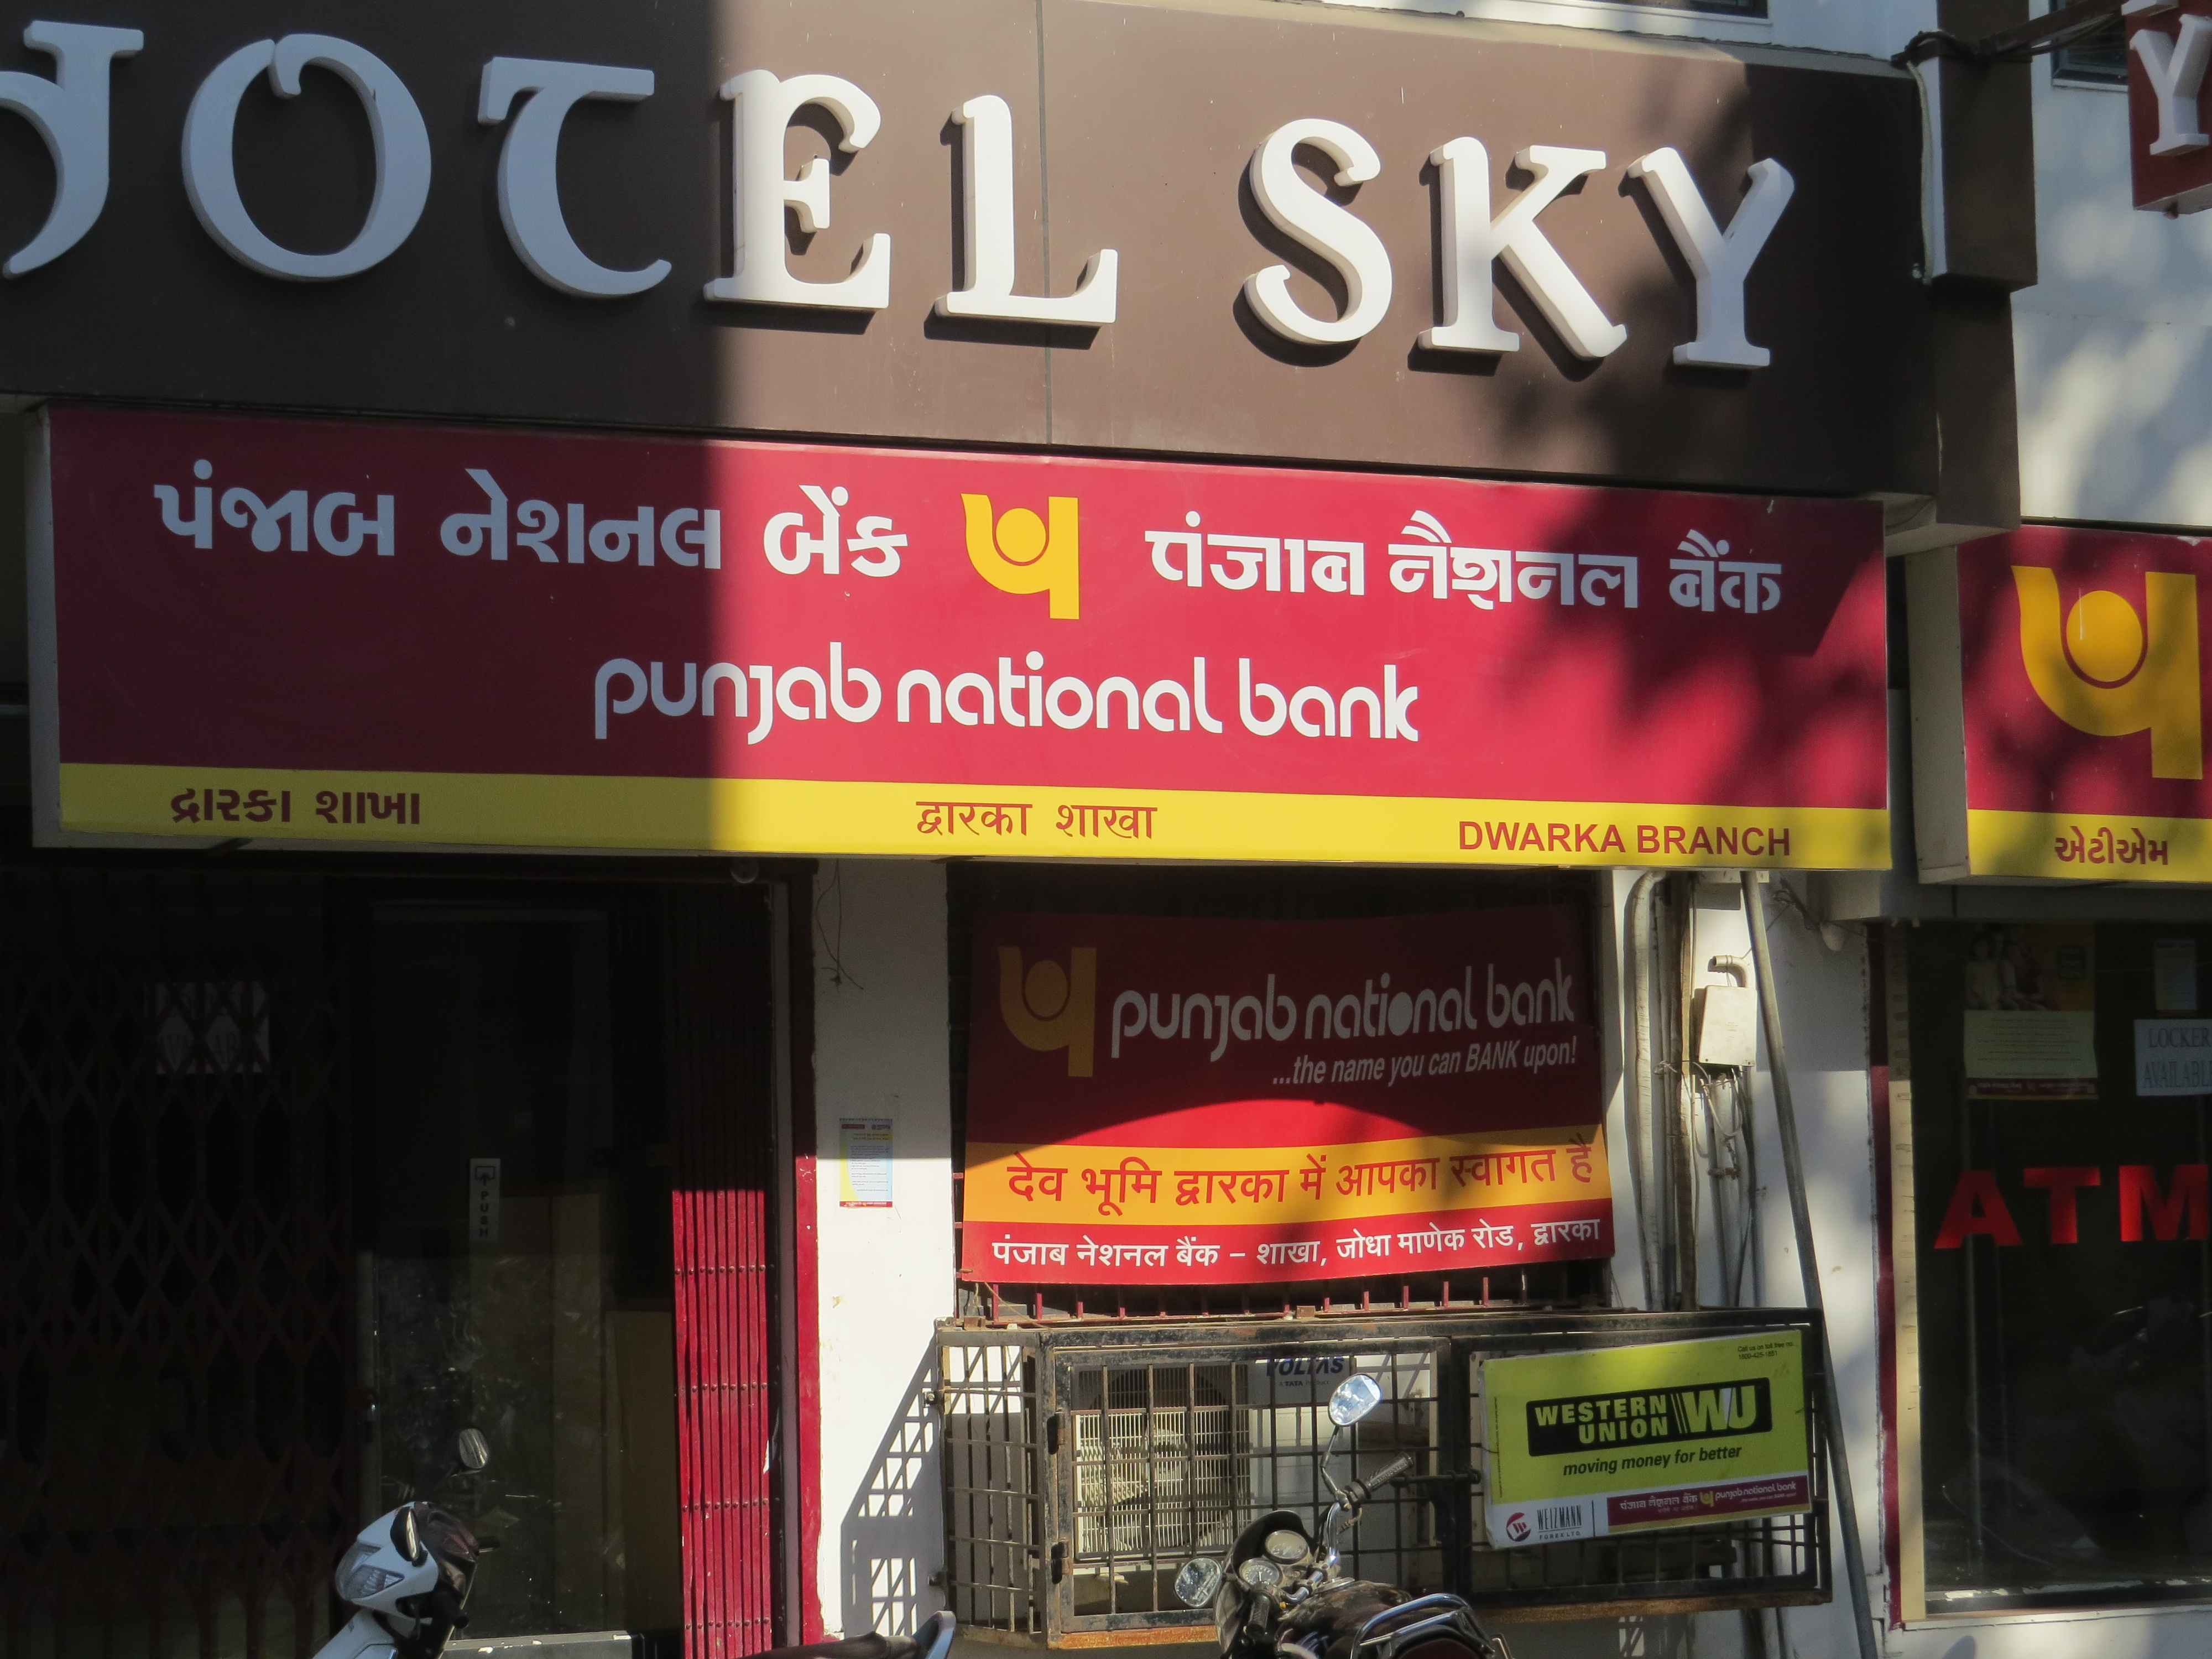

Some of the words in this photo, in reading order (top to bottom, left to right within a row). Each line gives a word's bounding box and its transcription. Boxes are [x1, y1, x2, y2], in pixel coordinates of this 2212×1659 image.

[2125, 8, 2210, 176] Y
[1, 11, 1151, 373] HOTEL
[1215, 101, 1822, 390] SKY
[136, 444, 410, 580] પંજાબ
[750, 470, 919, 595] ਯੇਂ
[1135, 501, 1371, 613] पंजाब
[1380, 500, 1660, 637] नैशनल
[1655, 523, 1791, 625] बैंक
[578, 633, 890, 755] punjab
[886, 644, 1232, 752] national
[1225, 649, 1437, 760] bank
[898, 794, 1041, 846] द्वारका
[1047, 800, 1169, 848] शाखा
[1450, 817, 1631, 859] DWARKA
[1631, 822, 1797, 864] BRANCH
[1105, 962, 1305, 1068] punjab
[1298, 959, 1483, 1046] national
[1482, 947, 1587, 1035] bank
[1267, 1047, 1332, 1093] ...the
[1326, 1055, 1387, 1086] name
[1384, 1052, 1428, 1091] you
[1424, 1048, 1464, 1077] can
[1462, 1036, 1524, 1075] BANK
[1522, 1032, 1580, 1074] upon!
[2139, 1023, 2210, 1054] LOCKER
[2139, 1057, 2210, 1095] AVAILABL
[470, 1187, 501, 1243] PUSH
[986, 1230, 1073, 1271] पंजाब
[995, 1146, 1076, 1210] देव
[1073, 1152, 1168, 1221] भूमि
[1071, 1229, 1173, 1275] नेशनल
[1169, 1230, 1229, 1270] बैंक
[1166, 1161, 1294, 1209] द्वारका
[1250, 1238, 1331, 1271] शाखा,
[1291, 1149, 1335, 1205] में
[1333, 1224, 1393, 1262] जोधा
[1328, 1152, 1447, 1199] आपका
[1392, 1219, 1468, 1257] माणेक
[1467, 1214, 1517, 1253] रोड
[1444, 1142, 1564, 1194] स्‍वागत
[1526, 1216, 1604, 1249] द्वारका
[1562, 1127, 1601, 1193] है
[1923, 1149, 2211, 1259] ATM
[1277, 1357, 1306, 1377] OL
[1314, 1356, 1348, 1374] AS
[1530, 1394, 1668, 1429] WESTERN
[1574, 1415, 1672, 1447] UNION
[1678, 1380, 1765, 1437] WU
[1558, 1454, 1620, 1481] moving
[1618, 1498, 1647, 1512] पंजाब
[1618, 1450, 1672, 1473] money
[1646, 1493, 1682, 1509] नैशनल
[1671, 1446, 1697, 1465] for
[1681, 1490, 1698, 1504] बैंक
[1695, 1443, 1748, 1463] better
[1714, 1485, 1743, 1504] punjab
[1743, 1481, 1777, 1497] national
[1776, 1478, 1797, 1493] bank